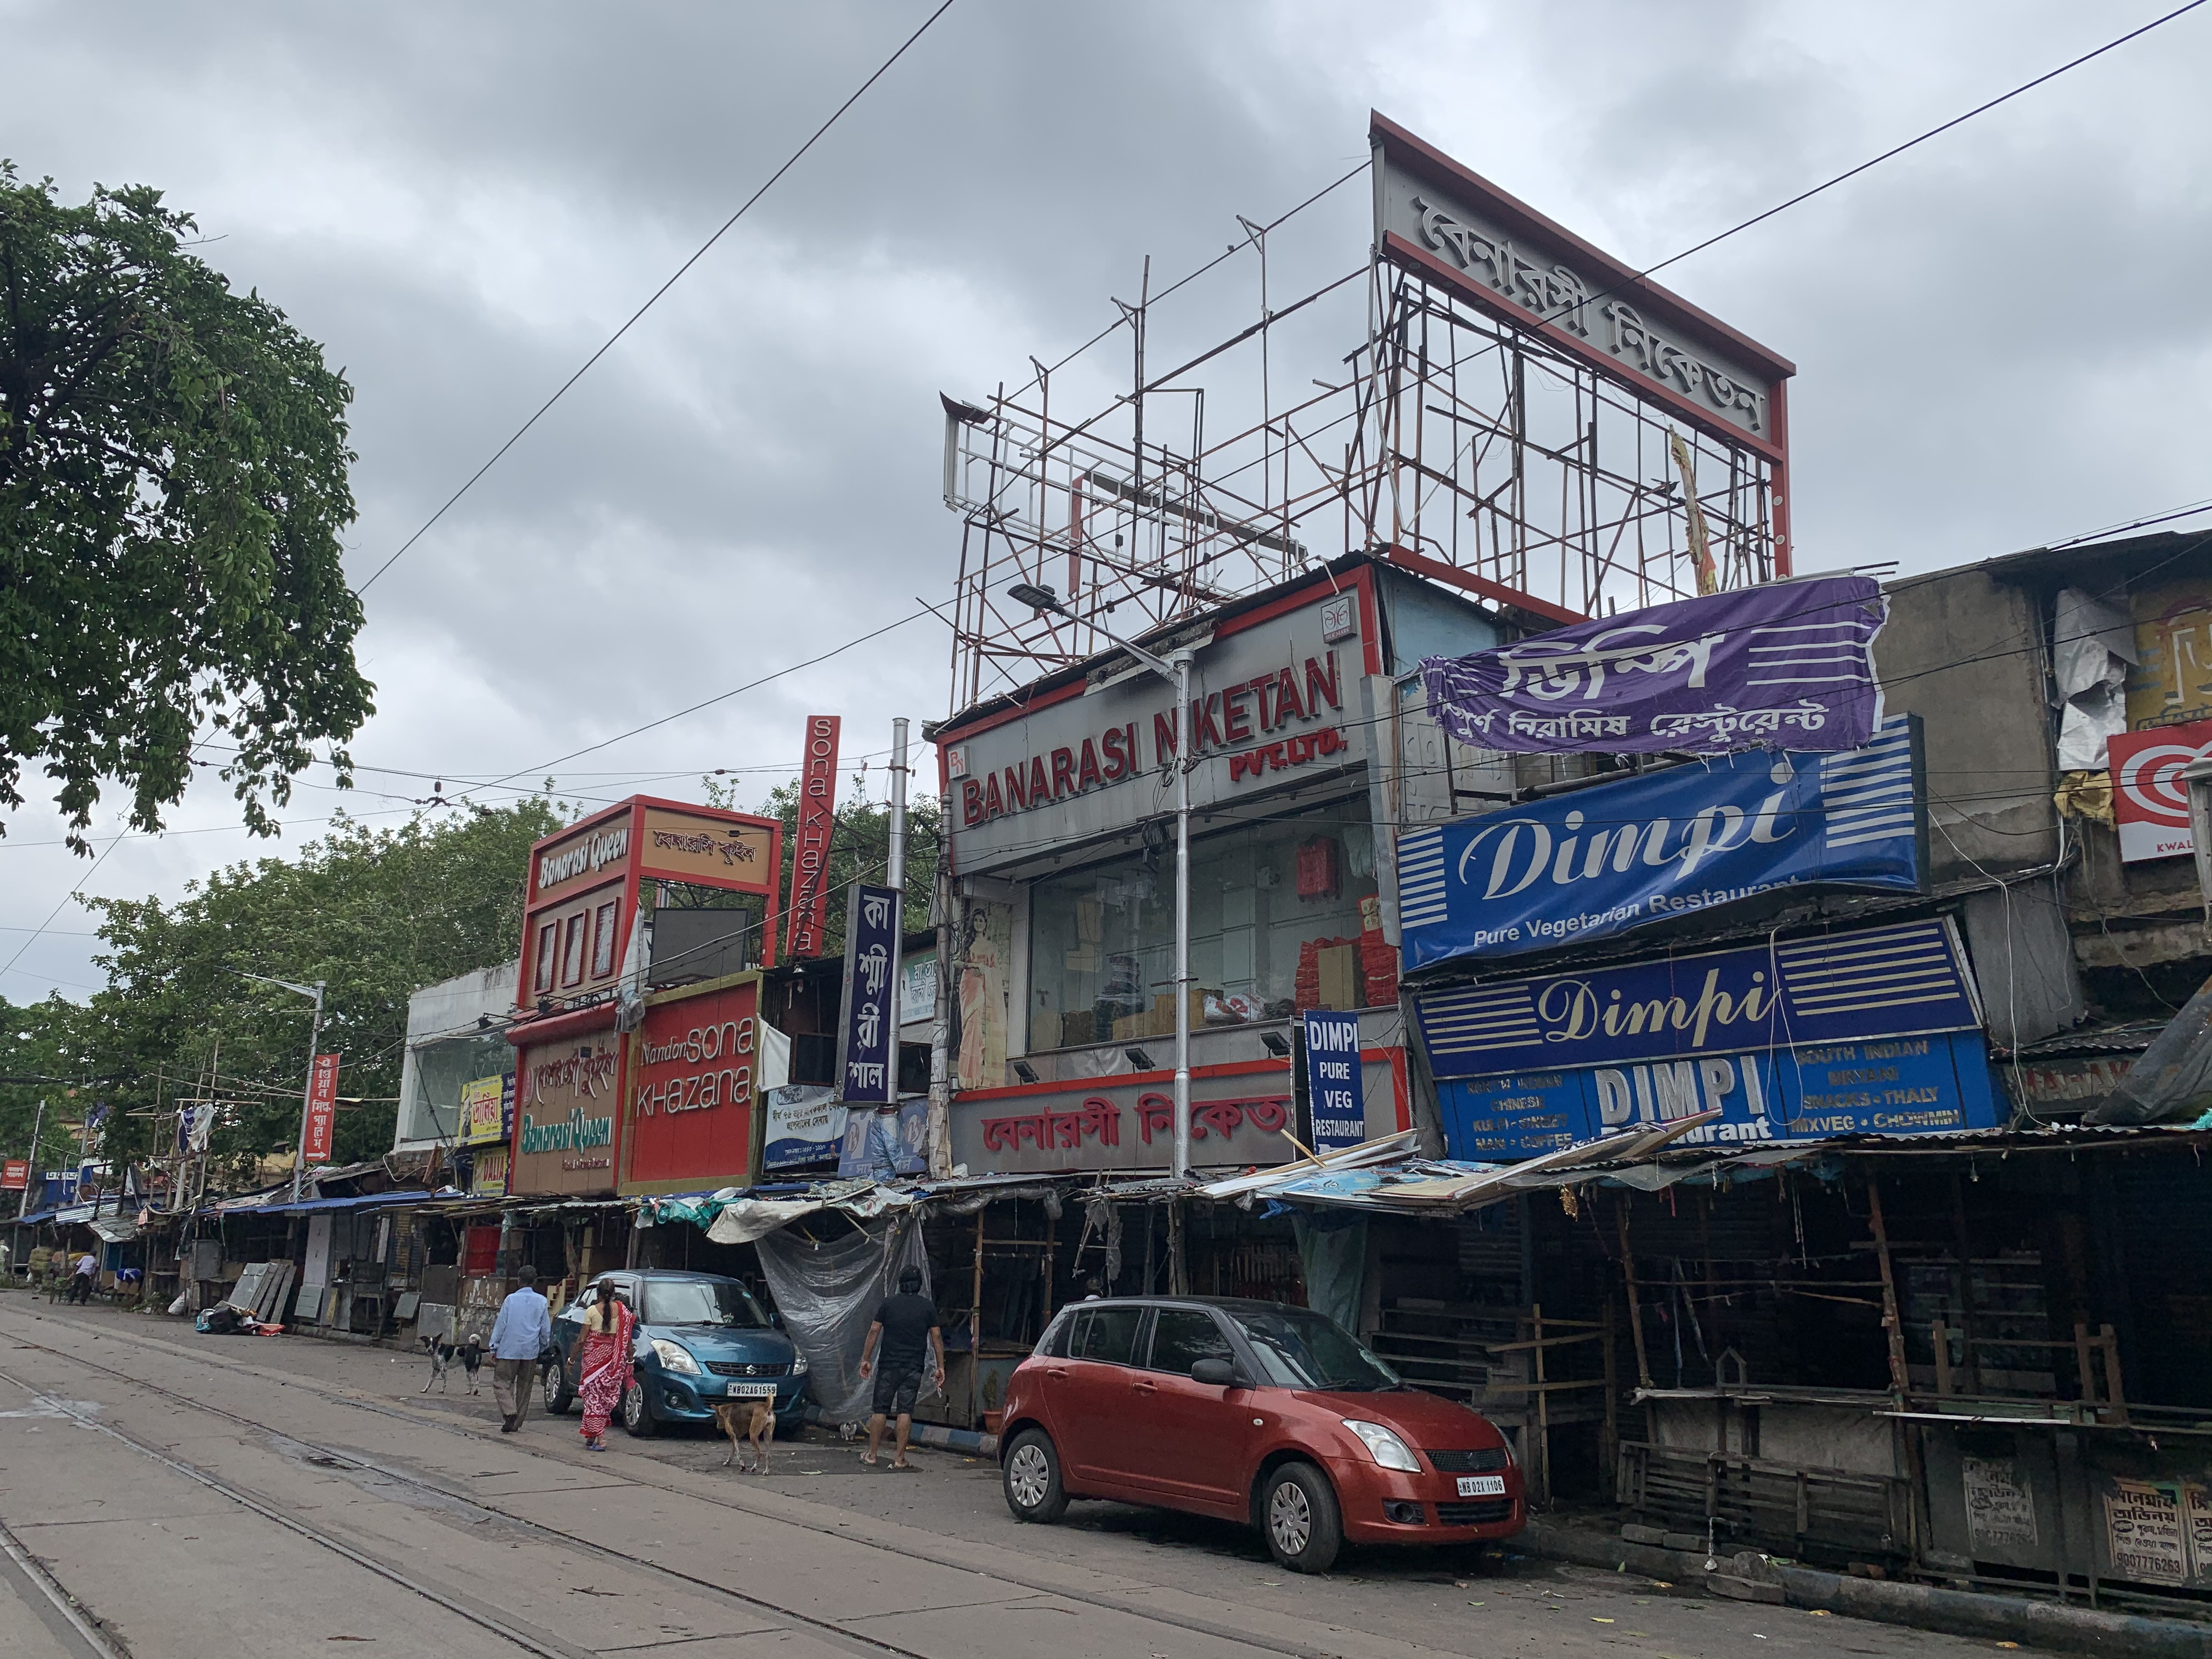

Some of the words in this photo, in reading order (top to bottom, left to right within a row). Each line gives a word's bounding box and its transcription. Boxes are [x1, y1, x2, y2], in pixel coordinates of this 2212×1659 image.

[1407, 184, 1606, 338] বেনারসী
[1600, 291, 1771, 440] নিকেতন
[1496, 616, 1728, 703] ডিম্পি
[1149, 646, 1346, 769] NIKETAN
[1500, 701, 1635, 746] নিরামিষ
[1647, 687, 1831, 748] রেস্টুরেন্ট
[804, 715, 837, 799] Sona
[958, 718, 1143, 830] BANARASI
[1226, 722, 1351, 788] PVT.LTD.
[537, 834, 592, 893] Banarasi
[589, 825, 633, 874] Queen
[652, 825, 718, 859] বেনারসি
[717, 838, 760, 867] কুইন
[786, 808, 829, 955] KHazana
[1468, 917, 1525, 951] Pure
[1523, 897, 1639, 945] Vegetarian
[1456, 764, 1810, 909] Dimpi
[1643, 884, 1757, 917] Restaur
[1536, 958, 1795, 1053] Dimpi
[469, 1087, 503, 1127] ডালিয়া
[520, 1105, 582, 1158] Banarasi
[528, 1045, 587, 1109] বেনারসী
[569, 1097, 616, 1158] Queen
[579, 1036, 620, 1101] কুইন
[637, 1034, 691, 1070] Nandon
[634, 1061, 757, 1122] KHazana
[684, 1013, 760, 1066] sona
[977, 1093, 1124, 1156] বেনারসী
[1128, 1085, 1291, 1145] নিকেত
[1308, 1018, 1361, 1056] DIMPI
[1316, 1058, 1353, 1082] PURE
[1322, 1082, 1355, 1110] VEG
[1314, 1116, 1366, 1140] RESTAURANT
[1588, 1041, 1771, 1130] DIMPI
[1783, 1110, 1860, 1136] MIXVEG
[1788, 1042, 1860, 1071] SOUTH
[1800, 1090, 1875, 1115] SNACKS
[1821, 1061, 1903, 1091] BIRYANI
[1861, 1034, 1933, 1063] INDIAN
[1876, 1084, 1943, 1109] THALY
[1865, 1108, 1966, 1132] CHOWMIN
[480, 1150, 509, 1184] DALIA
[1458, 1475, 1505, 1496] WB02X1106